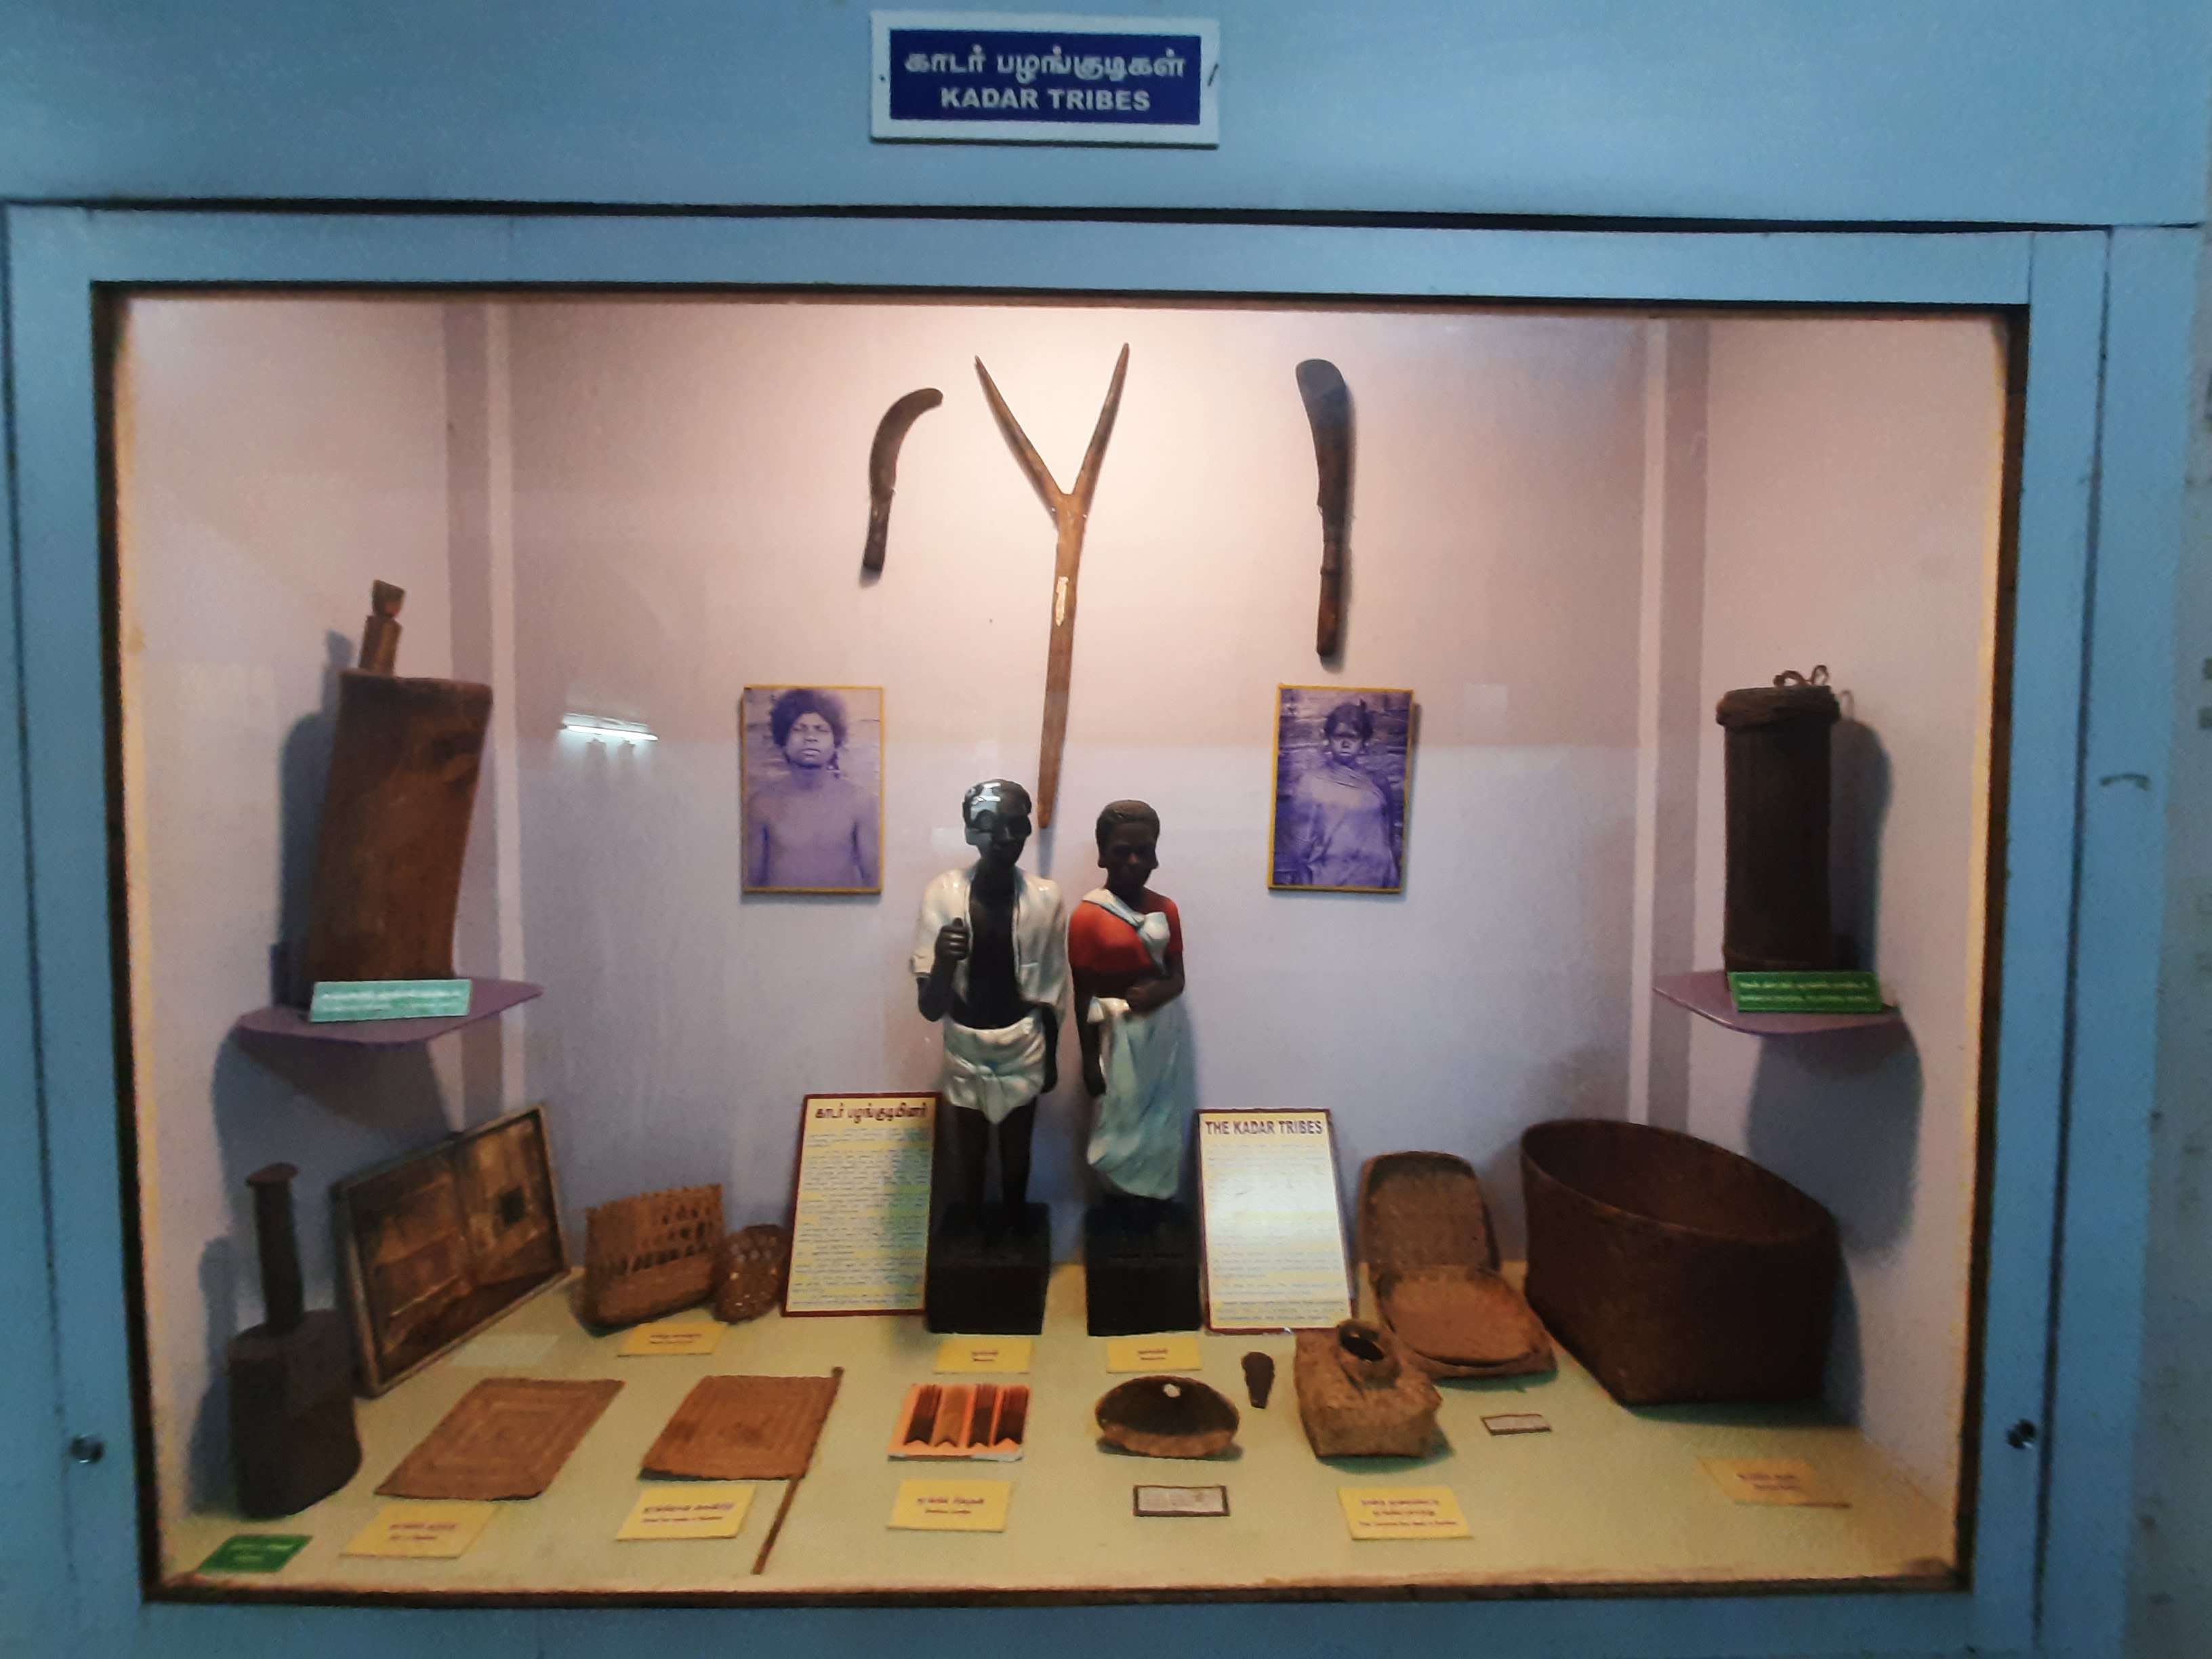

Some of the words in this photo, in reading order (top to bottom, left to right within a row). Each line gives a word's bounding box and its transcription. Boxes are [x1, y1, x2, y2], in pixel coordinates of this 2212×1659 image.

[903, 37, 991, 77] காடா்
[993, 40, 1187, 86] பழங்குடிகள்
[938, 82, 1041, 110] KADAR
[1046, 85, 1153, 112] TRIBES
[842, 1097, 929, 1128] பழங்குடியினர்
[1202, 1116, 1231, 1138] THE
[1229, 1116, 1277, 1139] KADAR
[1275, 1116, 1325, 1137] TRIBES